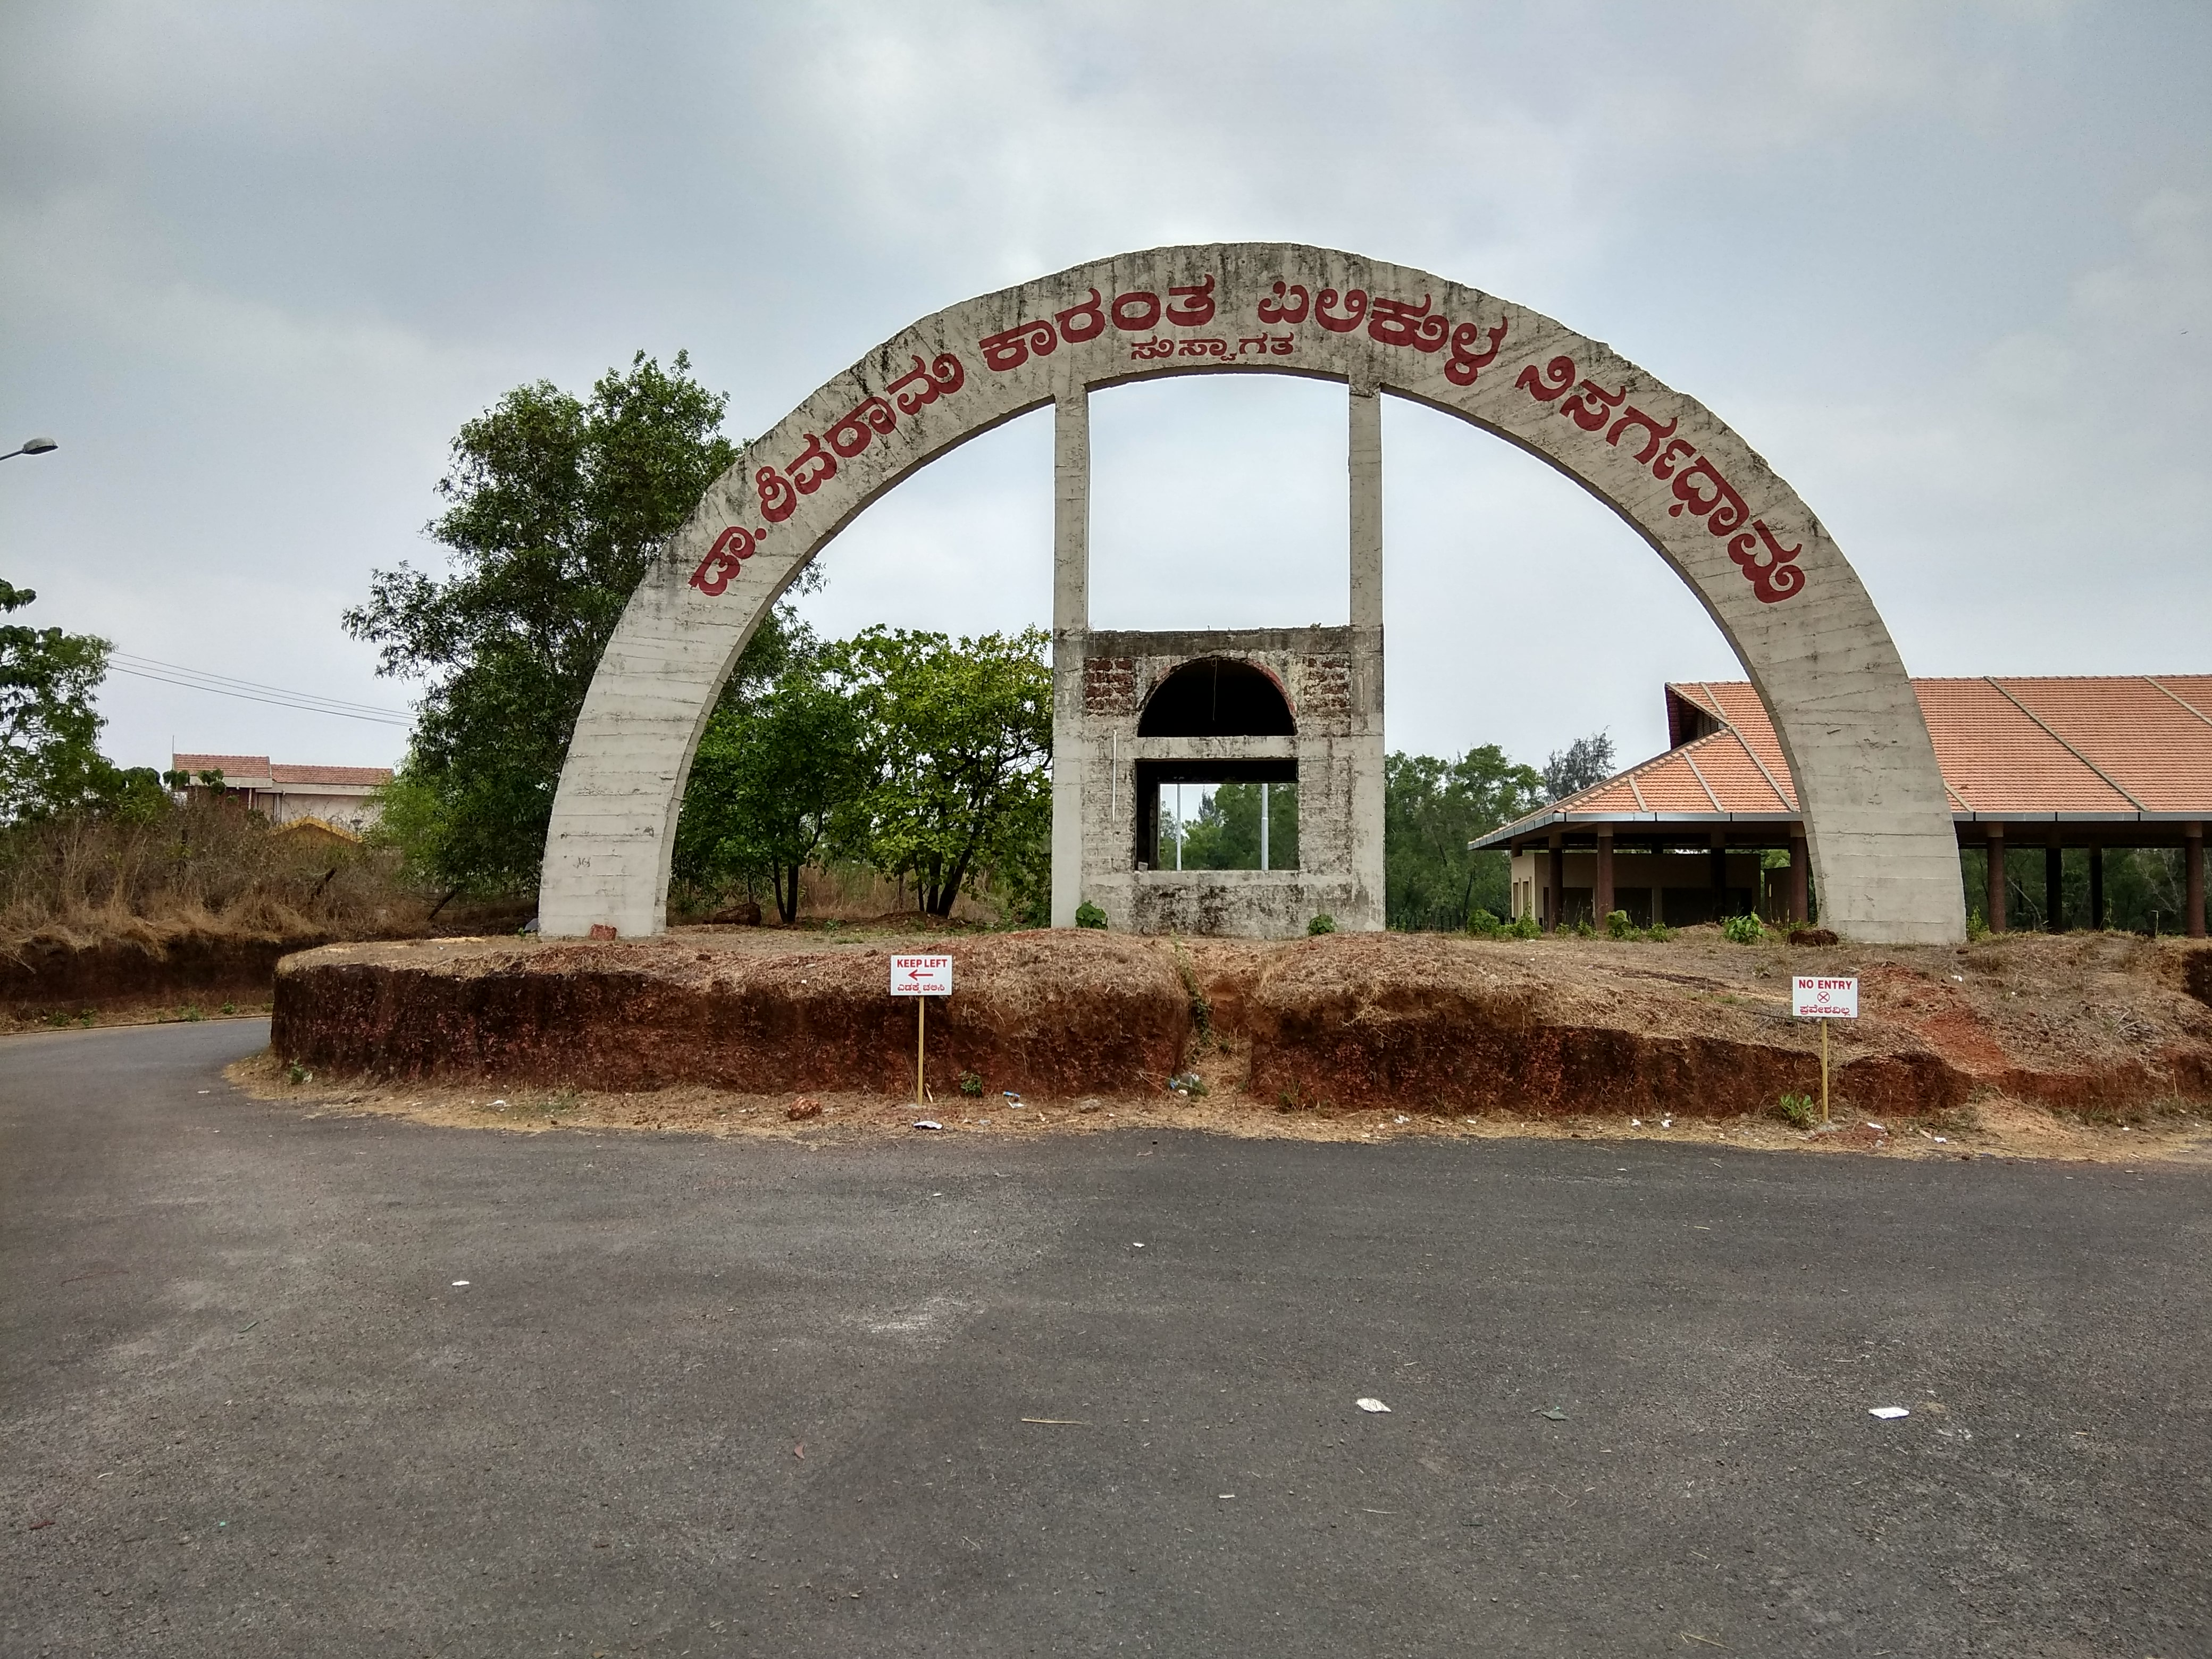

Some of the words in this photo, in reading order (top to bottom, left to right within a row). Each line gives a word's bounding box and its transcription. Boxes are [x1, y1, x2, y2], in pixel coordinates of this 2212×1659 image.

[970, 266, 1219, 378] ಕಾರಂತ
[1251, 276, 1512, 387] ಪಿಲಿಕುಳ
[1126, 329, 1296, 364] ಸುಸ್ವಾಗತ
[678, 347, 967, 601] ಡಾ.ಶಿವರಾಮ
[1509, 348, 1814, 606] ವಿಸಗಳಭಾಮ
[895, 957, 925, 971] KEEP
[922, 957, 950, 970] LEFT
[896, 979, 923, 998] ಎಡಕ್ಕೆ
[920, 980, 948, 994] ಚಲಸಿ
[1797, 977, 1816, 992] NO
[1816, 978, 1854, 991] ENTRY
[1796, 999, 1853, 1018] ಪ್ರವೇಶವಿಲ್ಲ